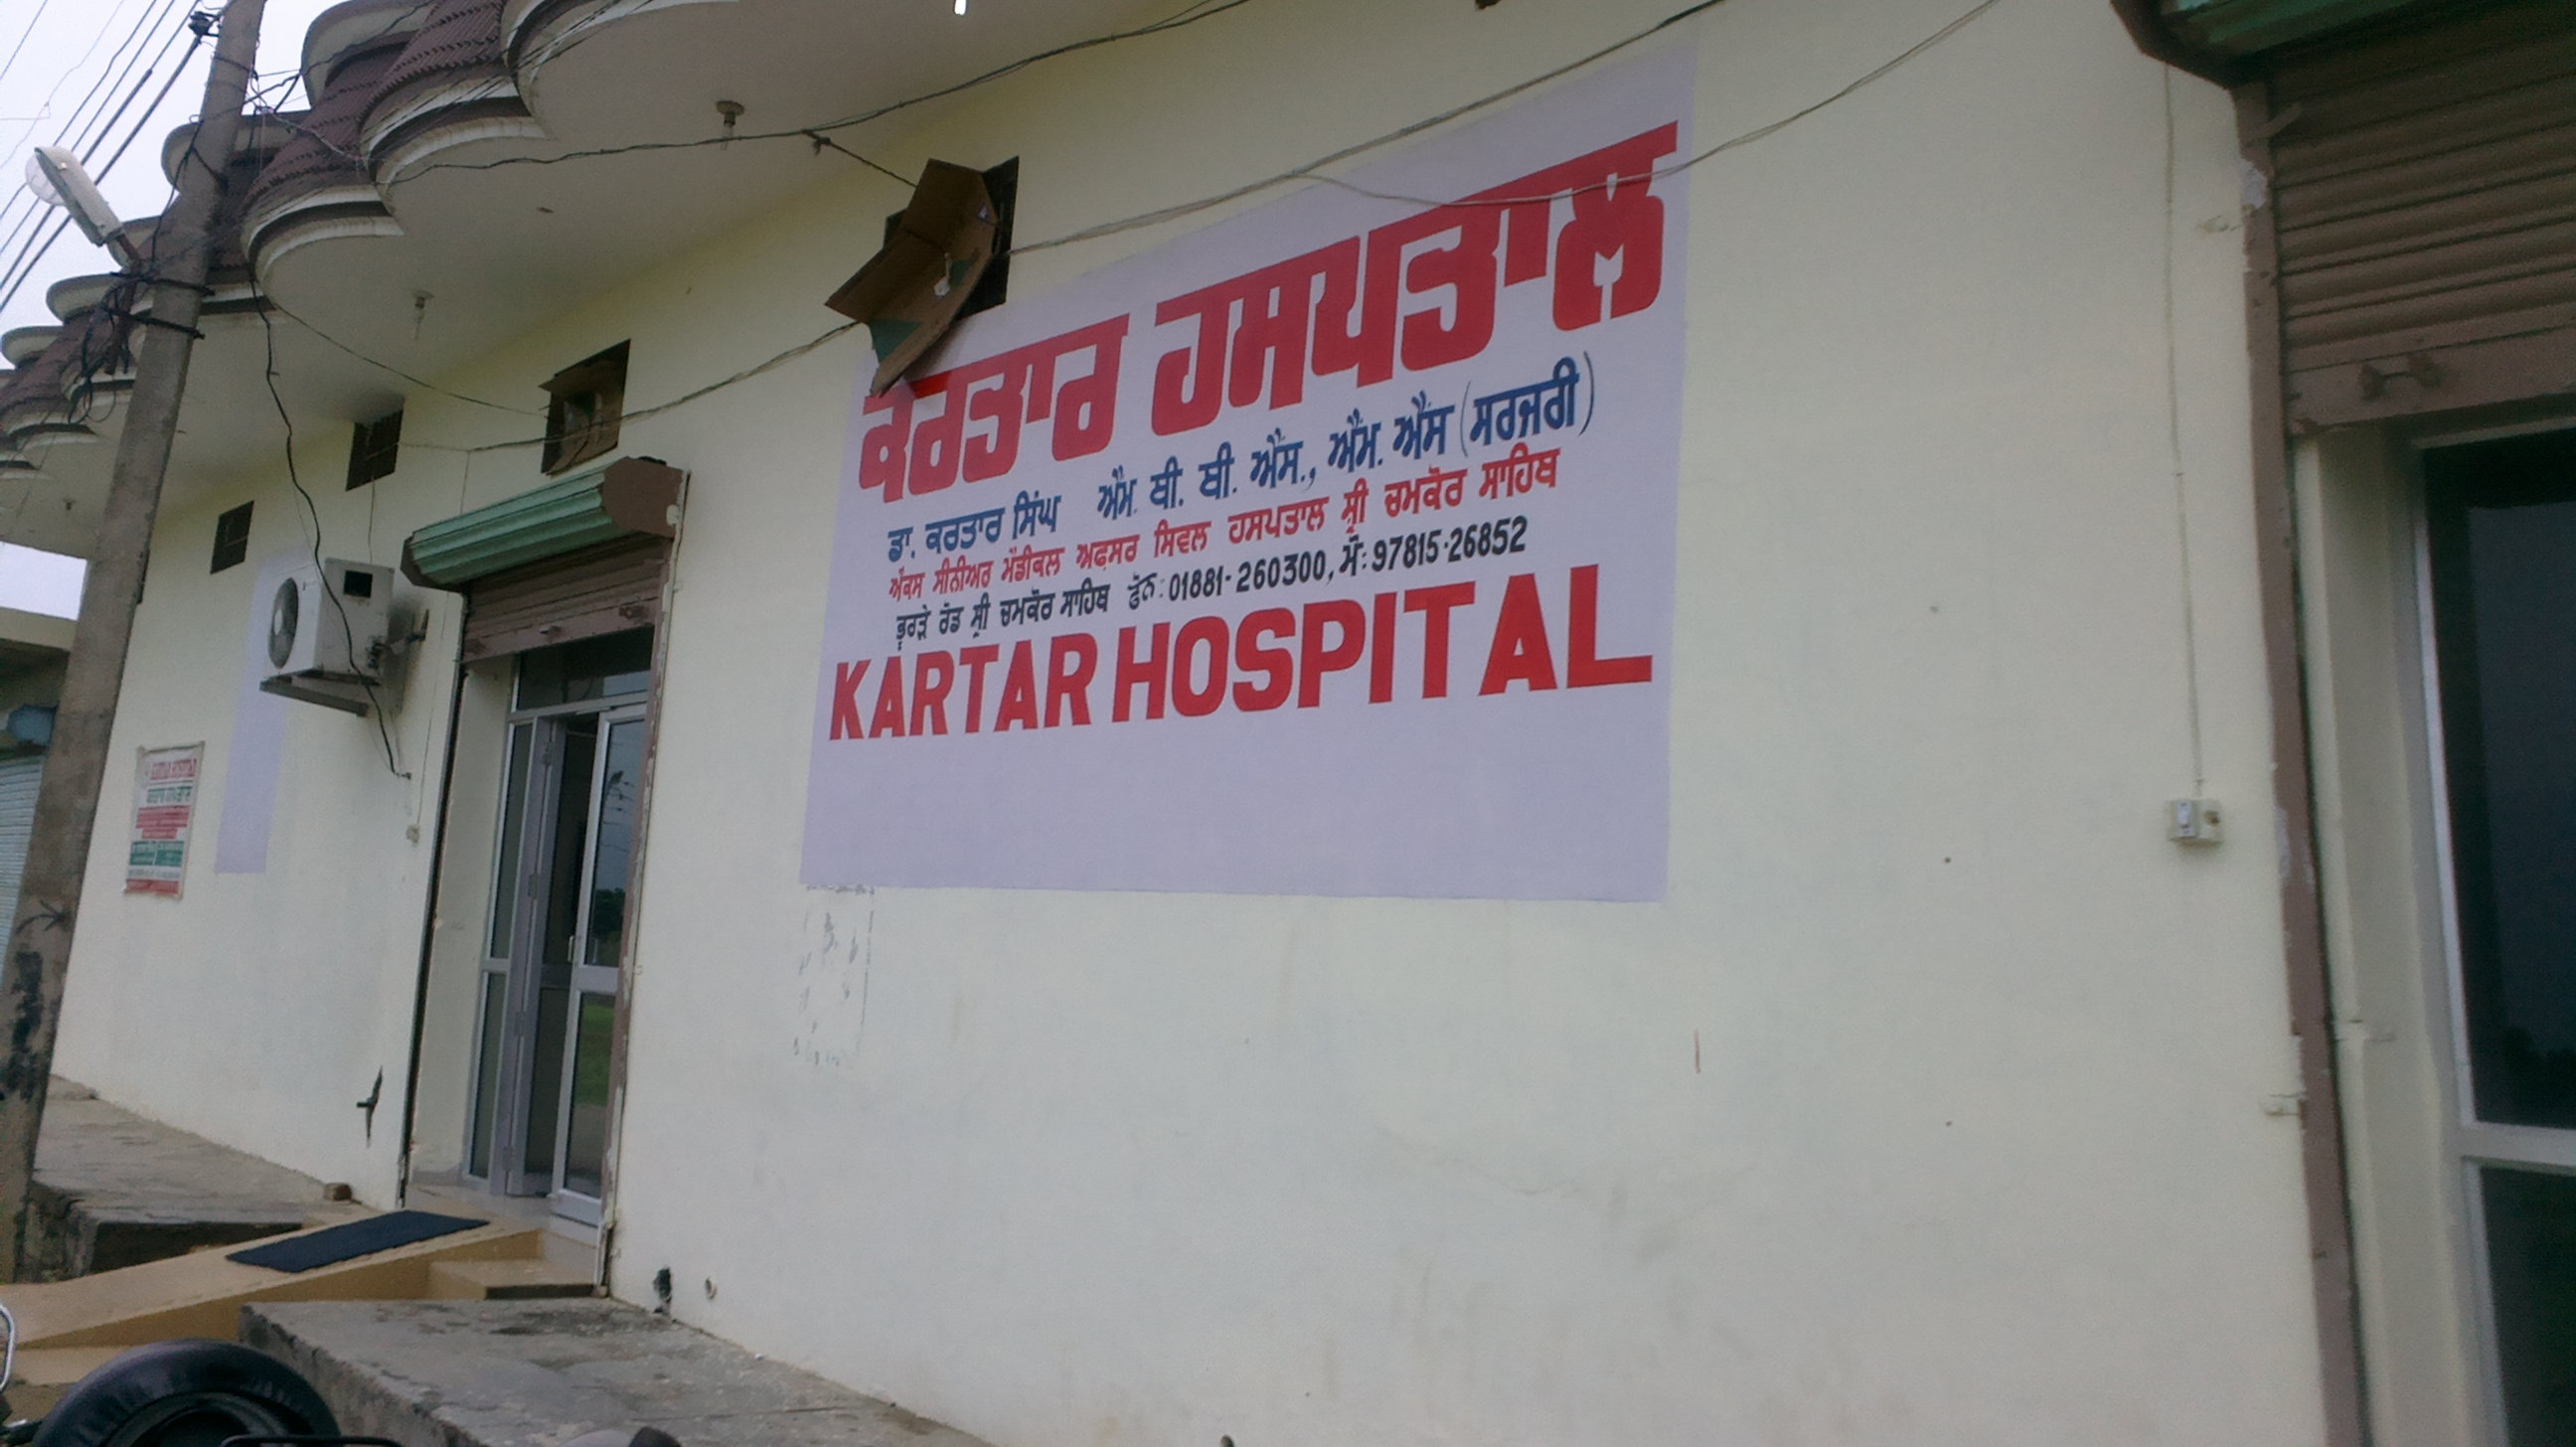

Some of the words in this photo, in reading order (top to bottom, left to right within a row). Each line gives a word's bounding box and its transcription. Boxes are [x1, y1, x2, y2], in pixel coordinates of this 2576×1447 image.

[1146, 110, 1683, 443] ਹਸਪਡਾਲ
[882, 519, 922, 567] ਡਾ.
[883, 561, 929, 608] ਐਕਸ
[884, 599, 936, 653] ਭੂਰੜੇ
[935, 599, 967, 643] ਰਂਡ
[927, 552, 999, 595] ਸੀਨੀਅਰ
[921, 504, 1010, 559] ਕਰਤਾਰ
[965, 589, 991, 640] ਸ਼ੀੁ
[853, 305, 1136, 516] ਕਰਤਾਰ
[995, 584, 1059, 631] ਚਮਕੋਰ
[997, 539, 1069, 585] ਮੈਡੀਕਲ
[1008, 483, 1066, 542] ਸਿਂਘ
[1055, 574, 1116, 620] ਸਾਹਿਥ
[1069, 527, 1147, 574] ਅਫਸਰ
[1091, 458, 1143, 525] ਐਸ.
[1120, 566, 1162, 613] ਫੋਨ
[1143, 445, 1193, 514] ਬੀ.
[1146, 514, 1220, 563] ਸਿਵਲ
[1190, 437, 1239, 507] ਬੀ.
[1164, 542, 1332, 607] 01881-260300
[1213, 488, 1335, 547] ਹਸਪਤਾਲ
[1243, 421, 1312, 498] ਐਂਸ
[1317, 401, 1386, 478] ਐਸ.
[1337, 531, 1368, 582] ਮੇ
[1337, 472, 1373, 539] ਸ੍ਰ਼ੀ
[1105, 552, 1664, 731] HOSPITAL
[1375, 459, 1473, 523] ਚਮਕੋਰ
[1386, 383, 1463, 466] ਐਂਸ
[1368, 507, 1536, 577] 97815-26852
[1476, 436, 1569, 506] ਸਾਹਿਥ
[1465, 352, 1585, 451] ਸਰਜਰੀ
[819, 625, 1104, 748] KARTAR